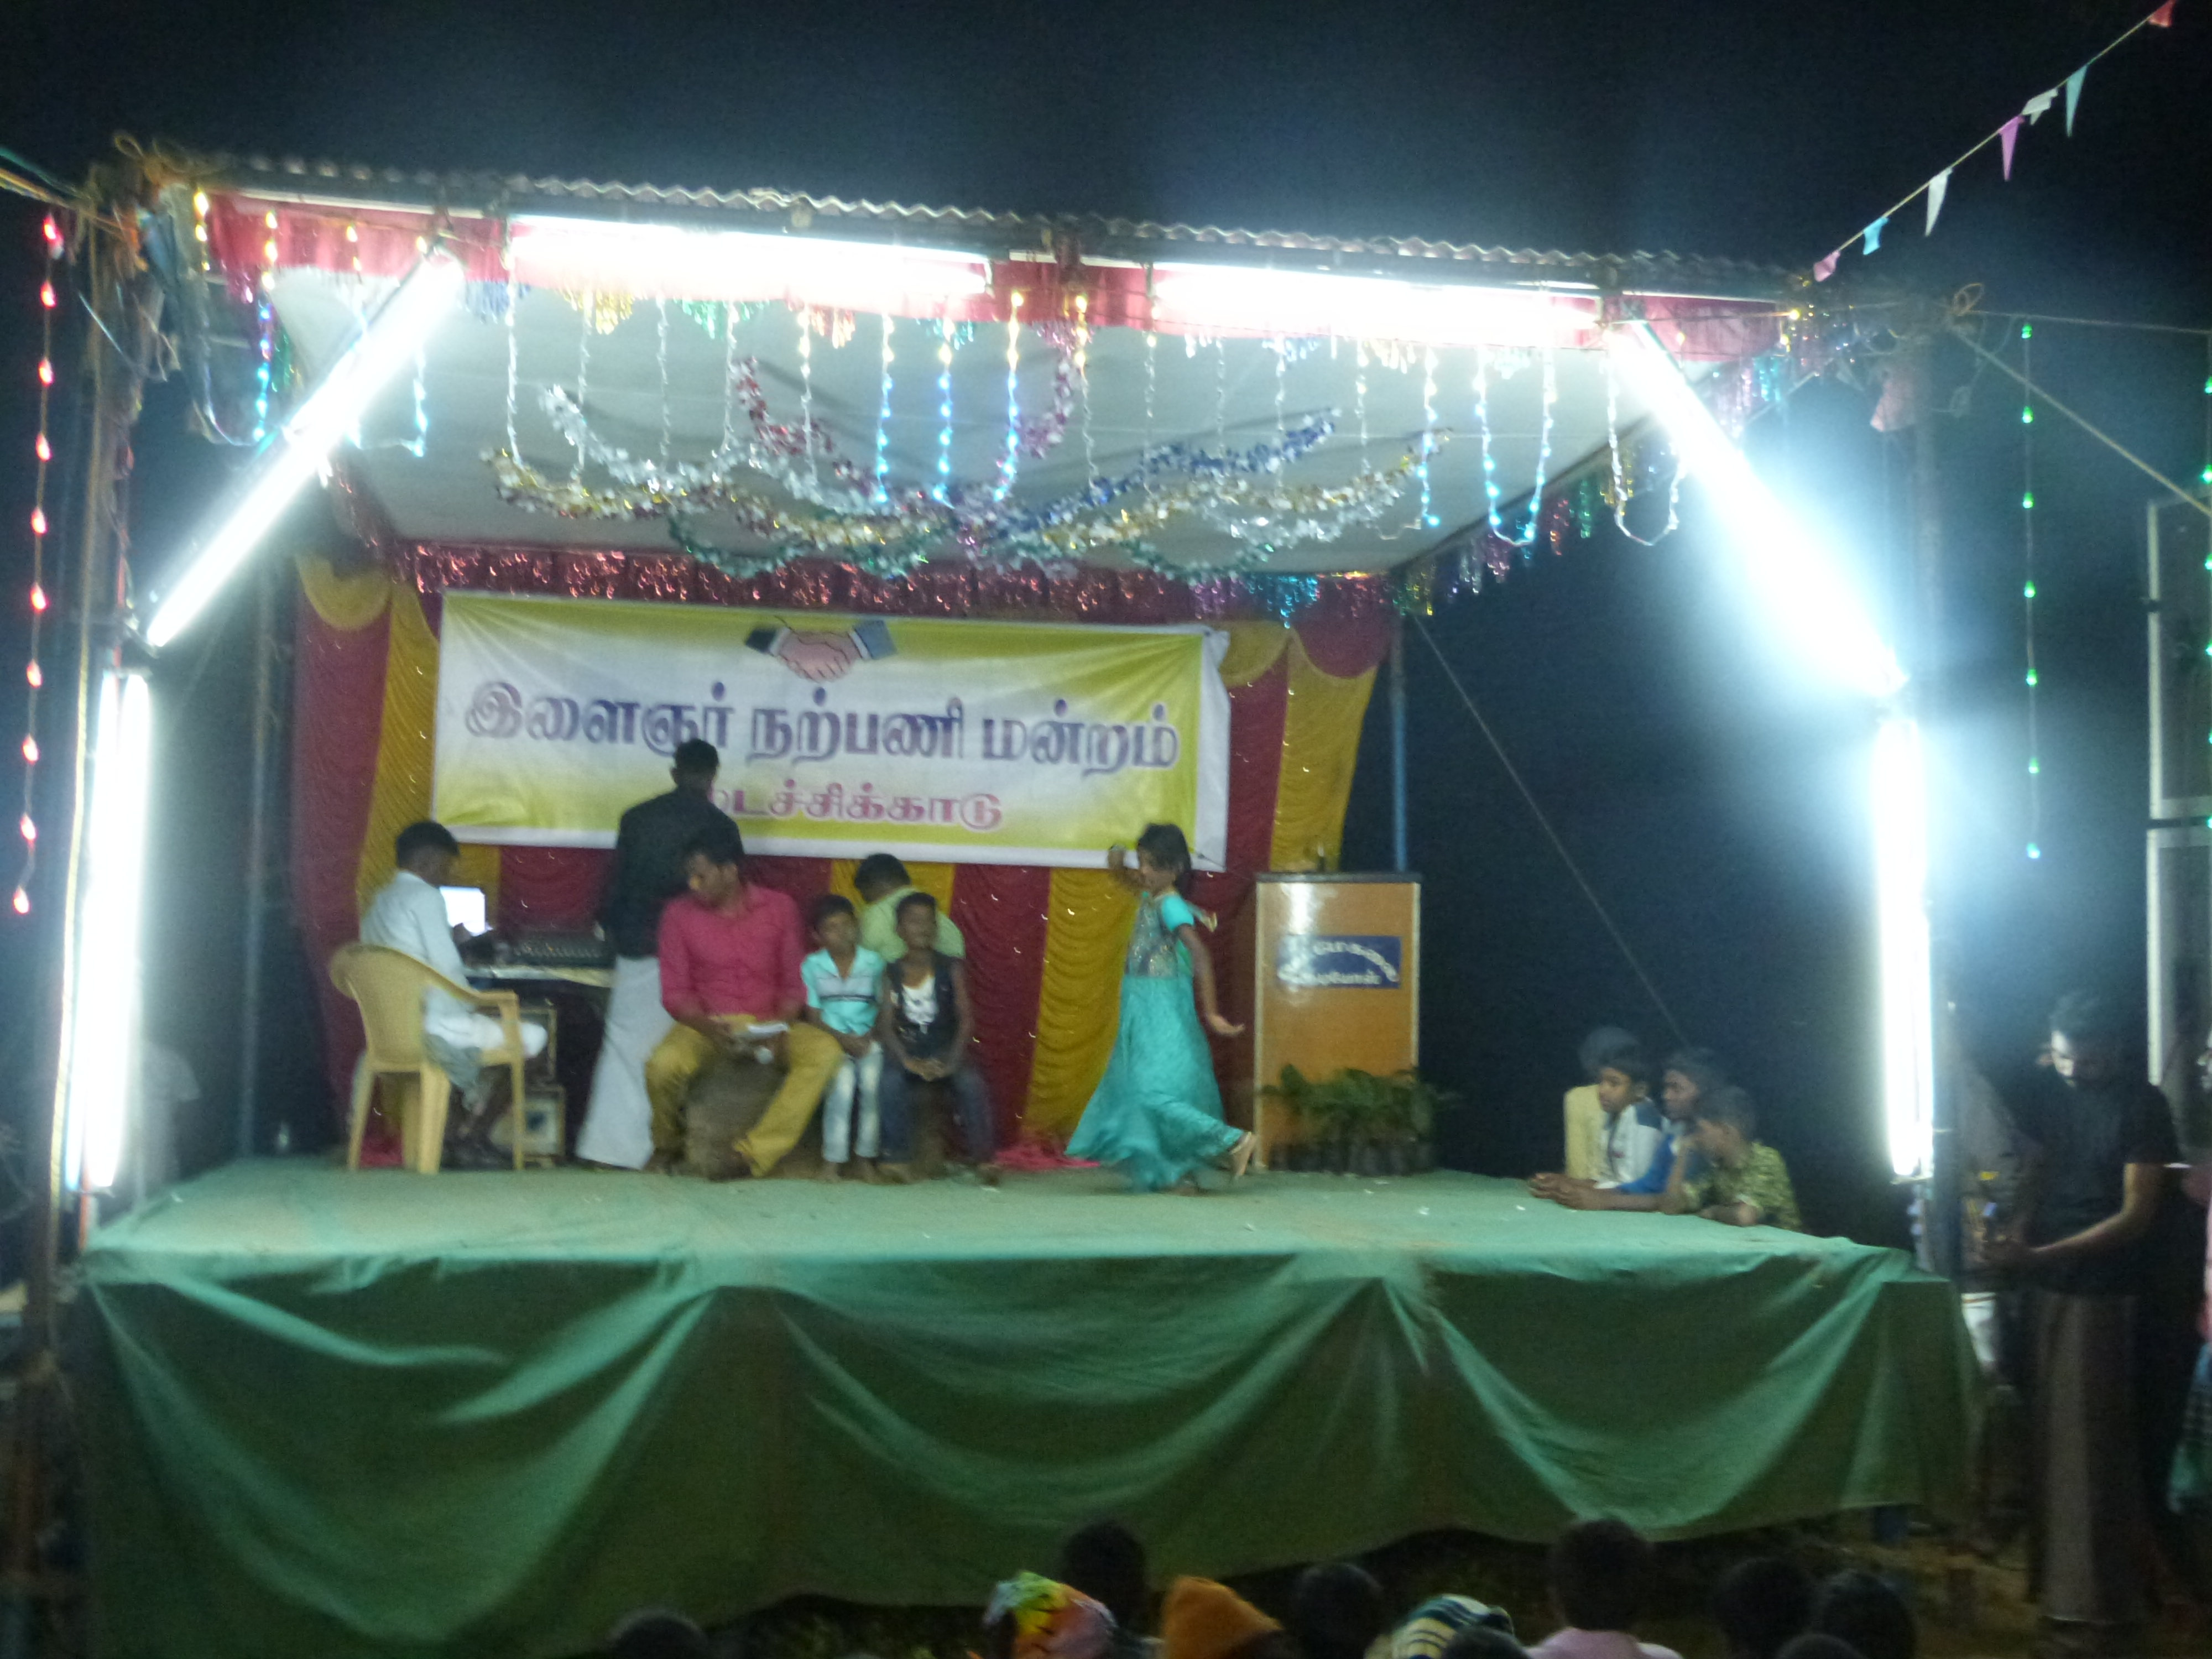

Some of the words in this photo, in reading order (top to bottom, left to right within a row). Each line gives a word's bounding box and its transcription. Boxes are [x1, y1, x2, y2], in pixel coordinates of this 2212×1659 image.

[458, 675, 739, 767] இளைஞா்
[733, 682, 969, 772] நற்பணி
[978, 689, 1186, 786] மன்றம்
[727, 774, 1006, 837] டச்சிக்காடு